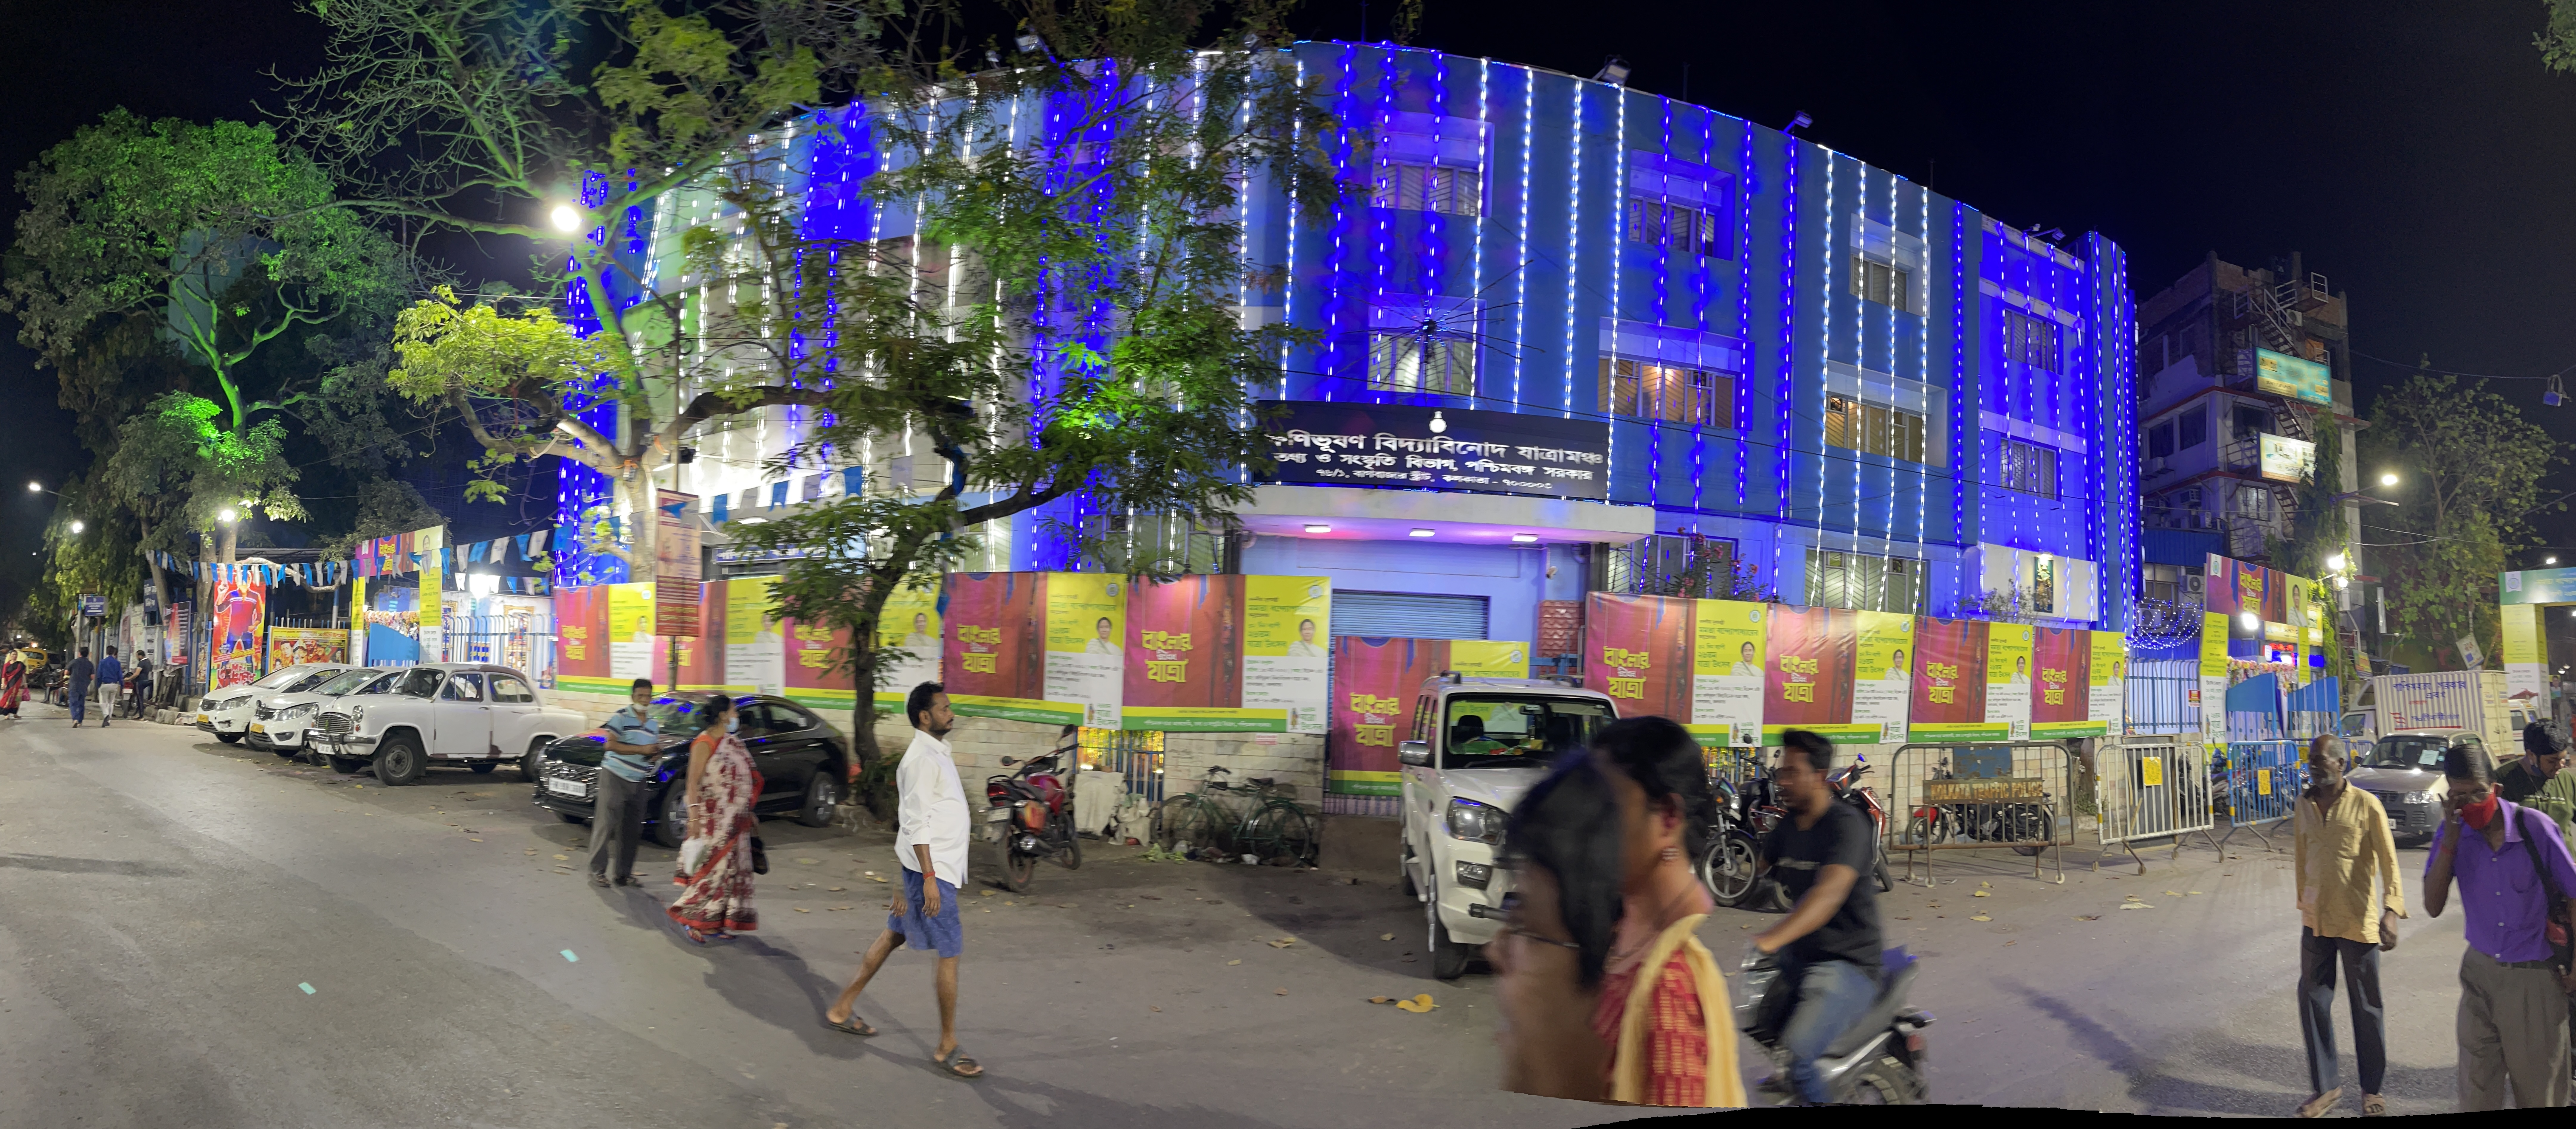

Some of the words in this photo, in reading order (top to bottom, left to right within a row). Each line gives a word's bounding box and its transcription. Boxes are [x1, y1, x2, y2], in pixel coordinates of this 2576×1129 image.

[1269, 446, 1311, 469] তথ্য
[1308, 451, 1333, 467] ও
[1275, 415, 1373, 455] ণিভূষণ
[1313, 464, 1349, 482] ৭৬/১,
[1338, 446, 1400, 472] সৎস্কৃতি
[1348, 464, 1413, 483] বাগবাজার
[1402, 466, 1437, 487] স্ট্রীট,
[1399, 449, 1463, 475] বিভাগ,
[1370, 425, 1511, 460] বিদ্যাবিনোদ
[1438, 470, 1491, 488] কলকাতা
[1464, 455, 1541, 480] পশ্চিমবঙ্গ
[1500, 473, 1555, 493] ৭০০০০৩
[1512, 441, 1611, 470] যাত্রামঞ্চ
[1537, 464, 1597, 484] সরকার
[377, 538, 400, 556] বাংলার
[2234, 568, 2265, 596] বাংলার
[2239, 593, 2264, 618] যাত্রা
[953, 612, 1005, 648] বাংলার
[958, 646, 1002, 680] যাত্ৰা
[1150, 643, 1181, 661] জীবন
[1143, 653, 1191, 687] যাত্রা
[1140, 621, 1196, 657] বাংলার
[1599, 643, 1656, 676] বাংলার
[1715, 623, 1762, 638] বন্দ্যোপাধ্যায়ের
[1777, 651, 1823, 680] বাংলার
[1922, 654, 1961, 685] বাংলার
[2001, 644, 2030, 653] বন্দ্যোপষ্যয়ের
[2040, 664, 2071, 686] বাংলার
[1347, 690, 1408, 721] বাংলার
[1602, 673, 1649, 704] যাত্রা
[1779, 676, 1823, 706] যাত্রা
[1922, 680, 1957, 710] যাত্রা
[2041, 681, 2068, 707] যাত্রা
[2420, 688, 2447, 702] এবং
[1350, 717, 1399, 753] যাত্রা
[1929, 782, 1973, 801] KOLKATA
[1971, 779, 2011, 800] TRAFFIC
[2010, 779, 2044, 800] POLICE